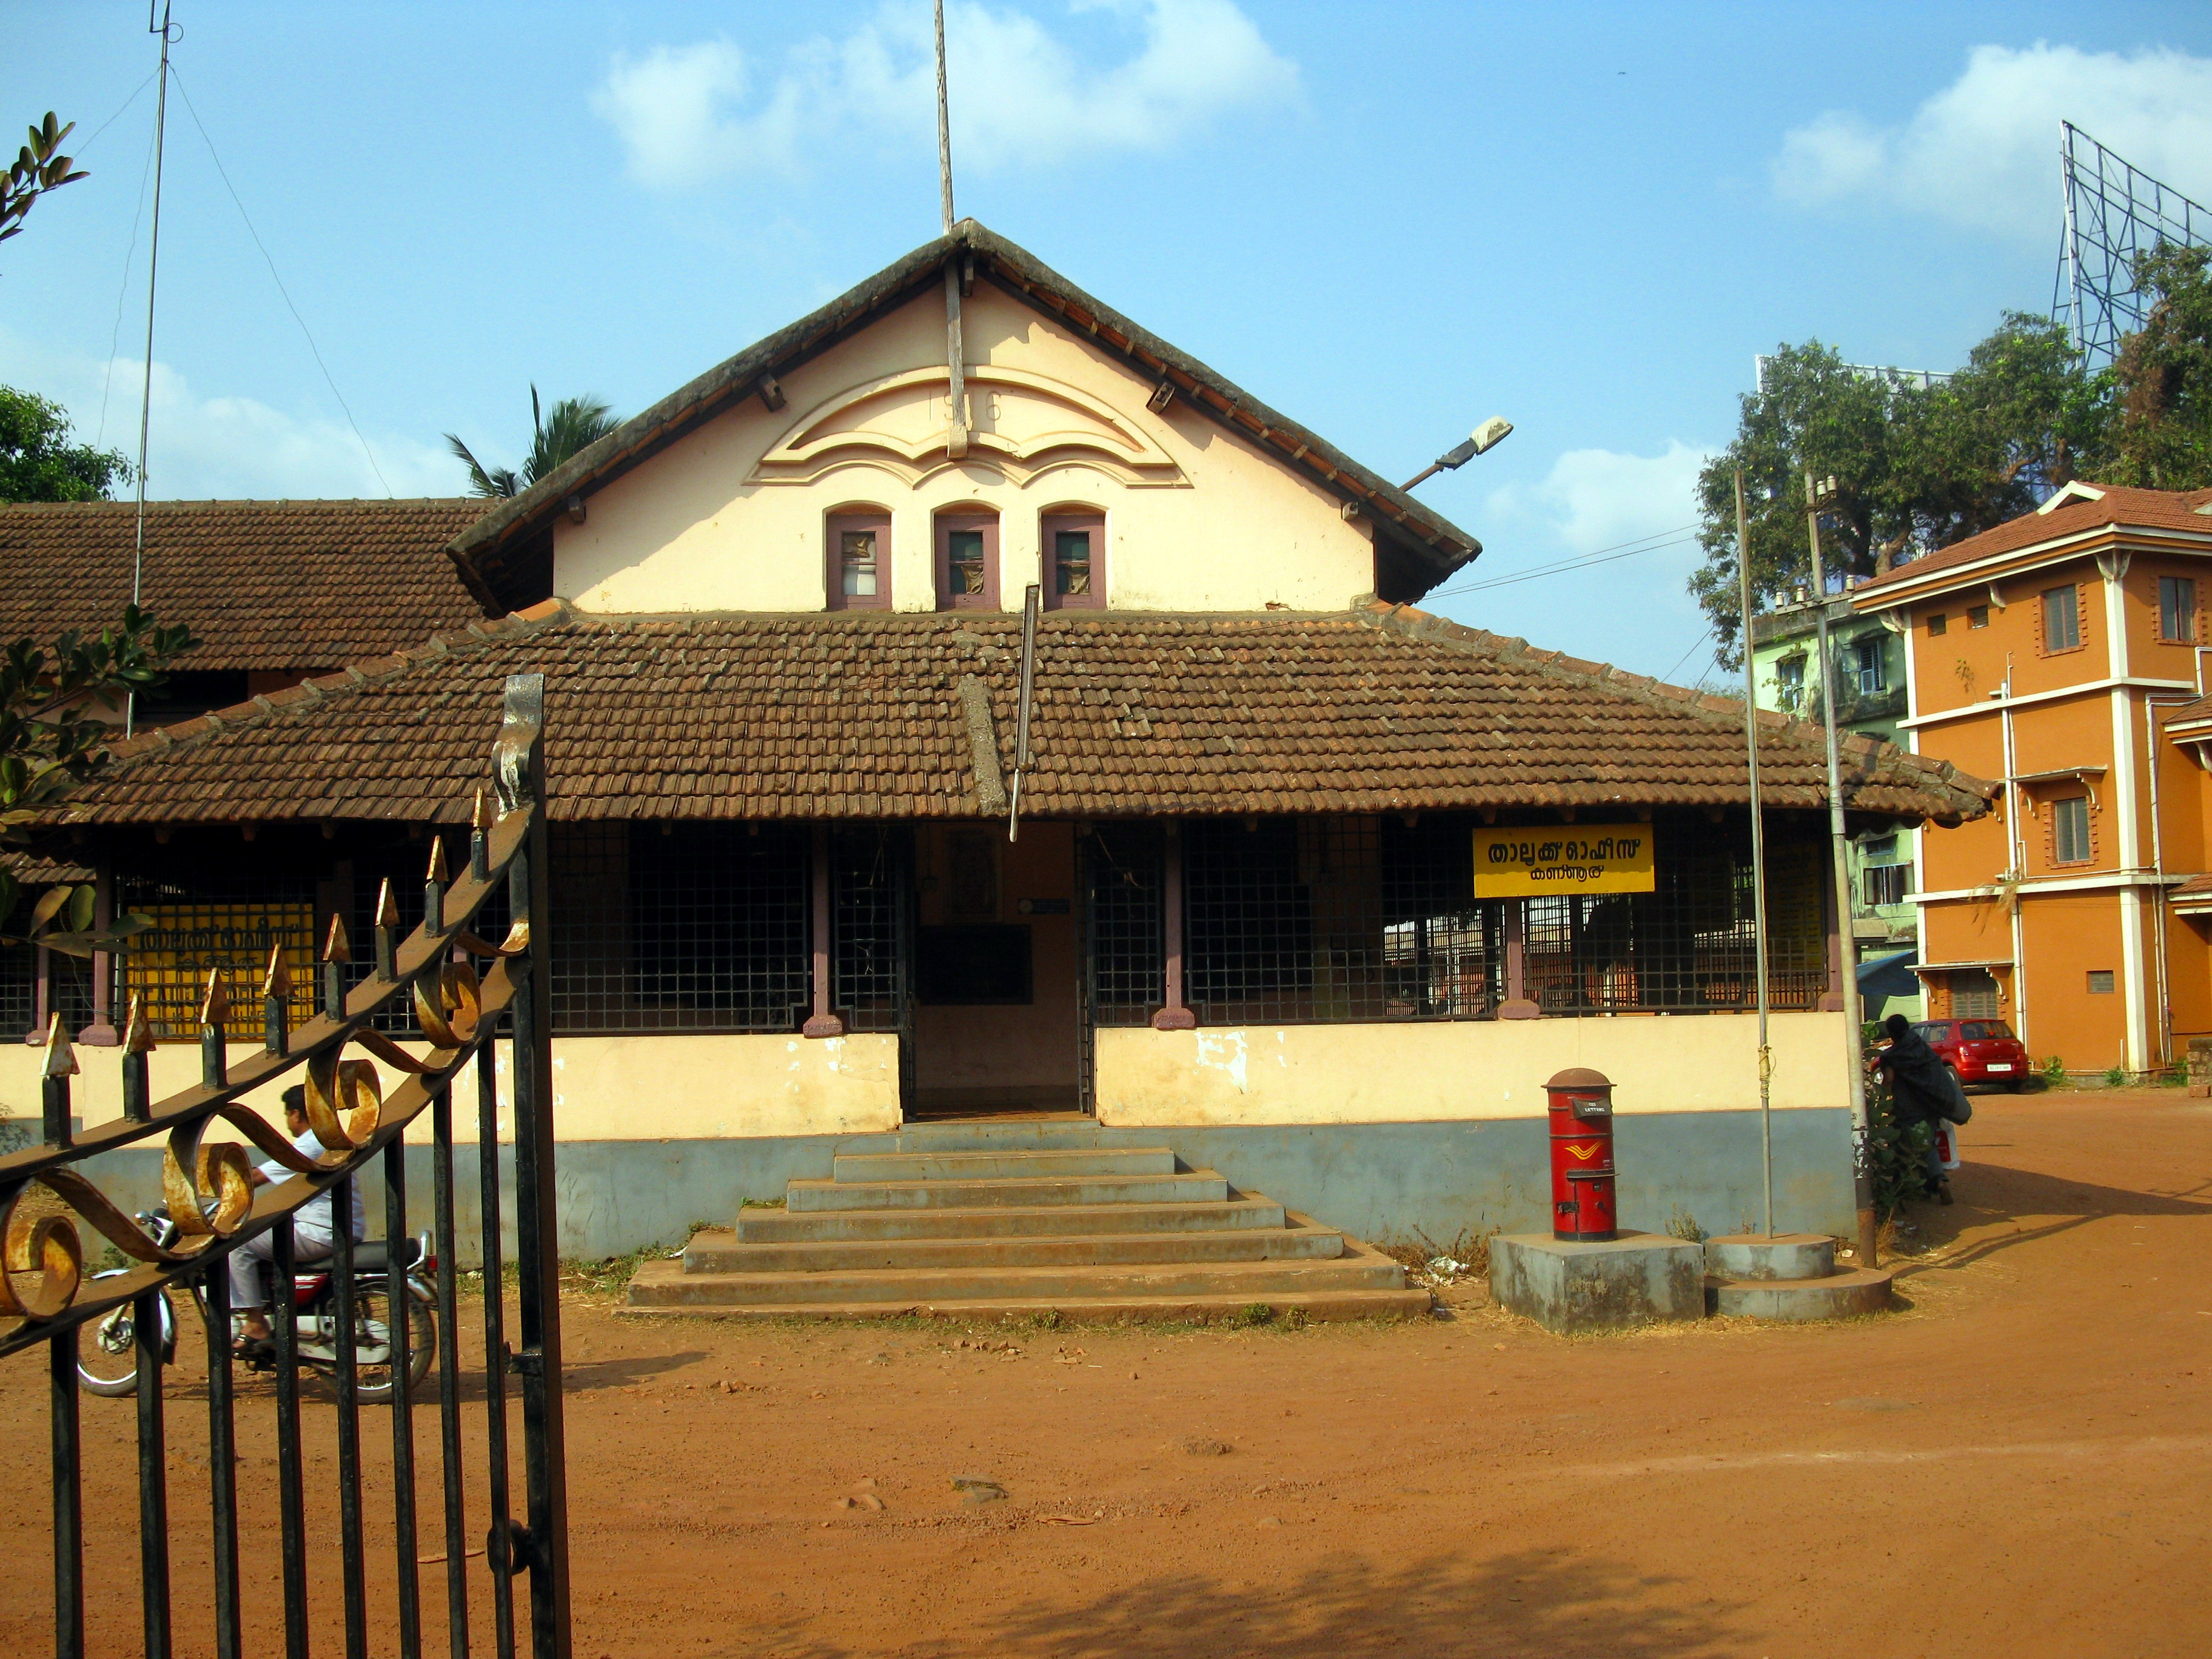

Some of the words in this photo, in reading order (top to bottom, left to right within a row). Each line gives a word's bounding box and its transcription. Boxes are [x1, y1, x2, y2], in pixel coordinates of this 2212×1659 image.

[1486, 836, 1564, 870] താലൂക്ക്
[1564, 833, 1641, 862] ഓഫീസ്
[1526, 860, 1606, 885] കണ഼ണൂര഼